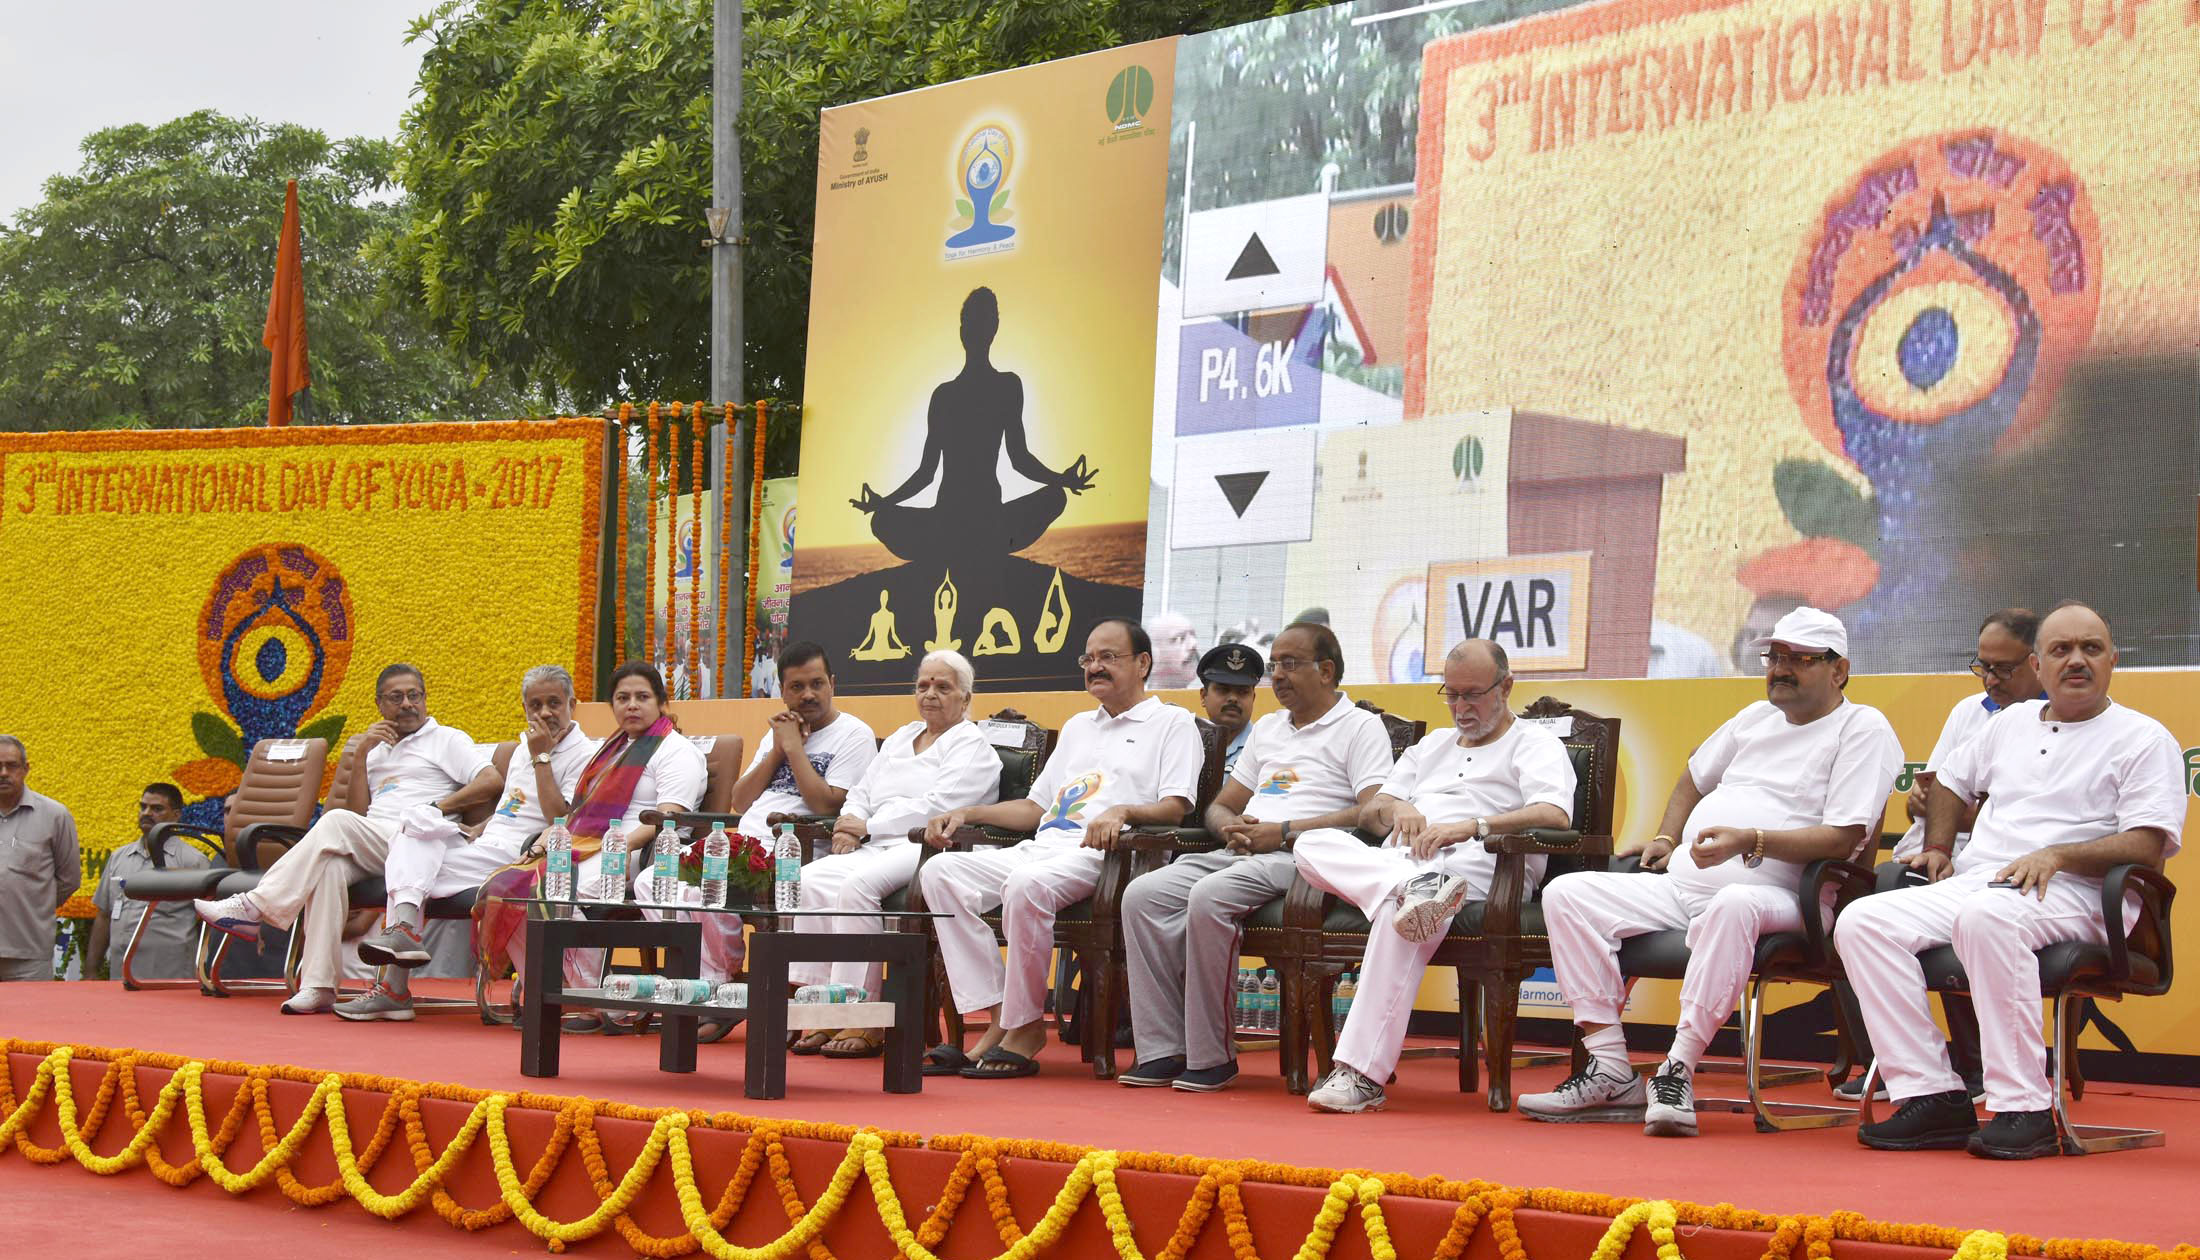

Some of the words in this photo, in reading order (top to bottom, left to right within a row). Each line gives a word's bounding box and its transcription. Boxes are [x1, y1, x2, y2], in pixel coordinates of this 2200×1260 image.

[1932, 0, 2062, 75] UAI
[1463, 1, 1932, 169] 3"INTERNATIONAL
[1942, 130, 2031, 193] योग
[1197, 343, 1241, 408] P4
[1253, 333, 1298, 402] 6K
[15, 453, 273, 518] 3"INTERNATIONAL
[276, 457, 338, 513] ०३४
[339, 454, 383, 518] OF
[388, 455, 474, 516] YOGA
[483, 449, 568, 515] 2017
[1447, 570, 1564, 652] VAR